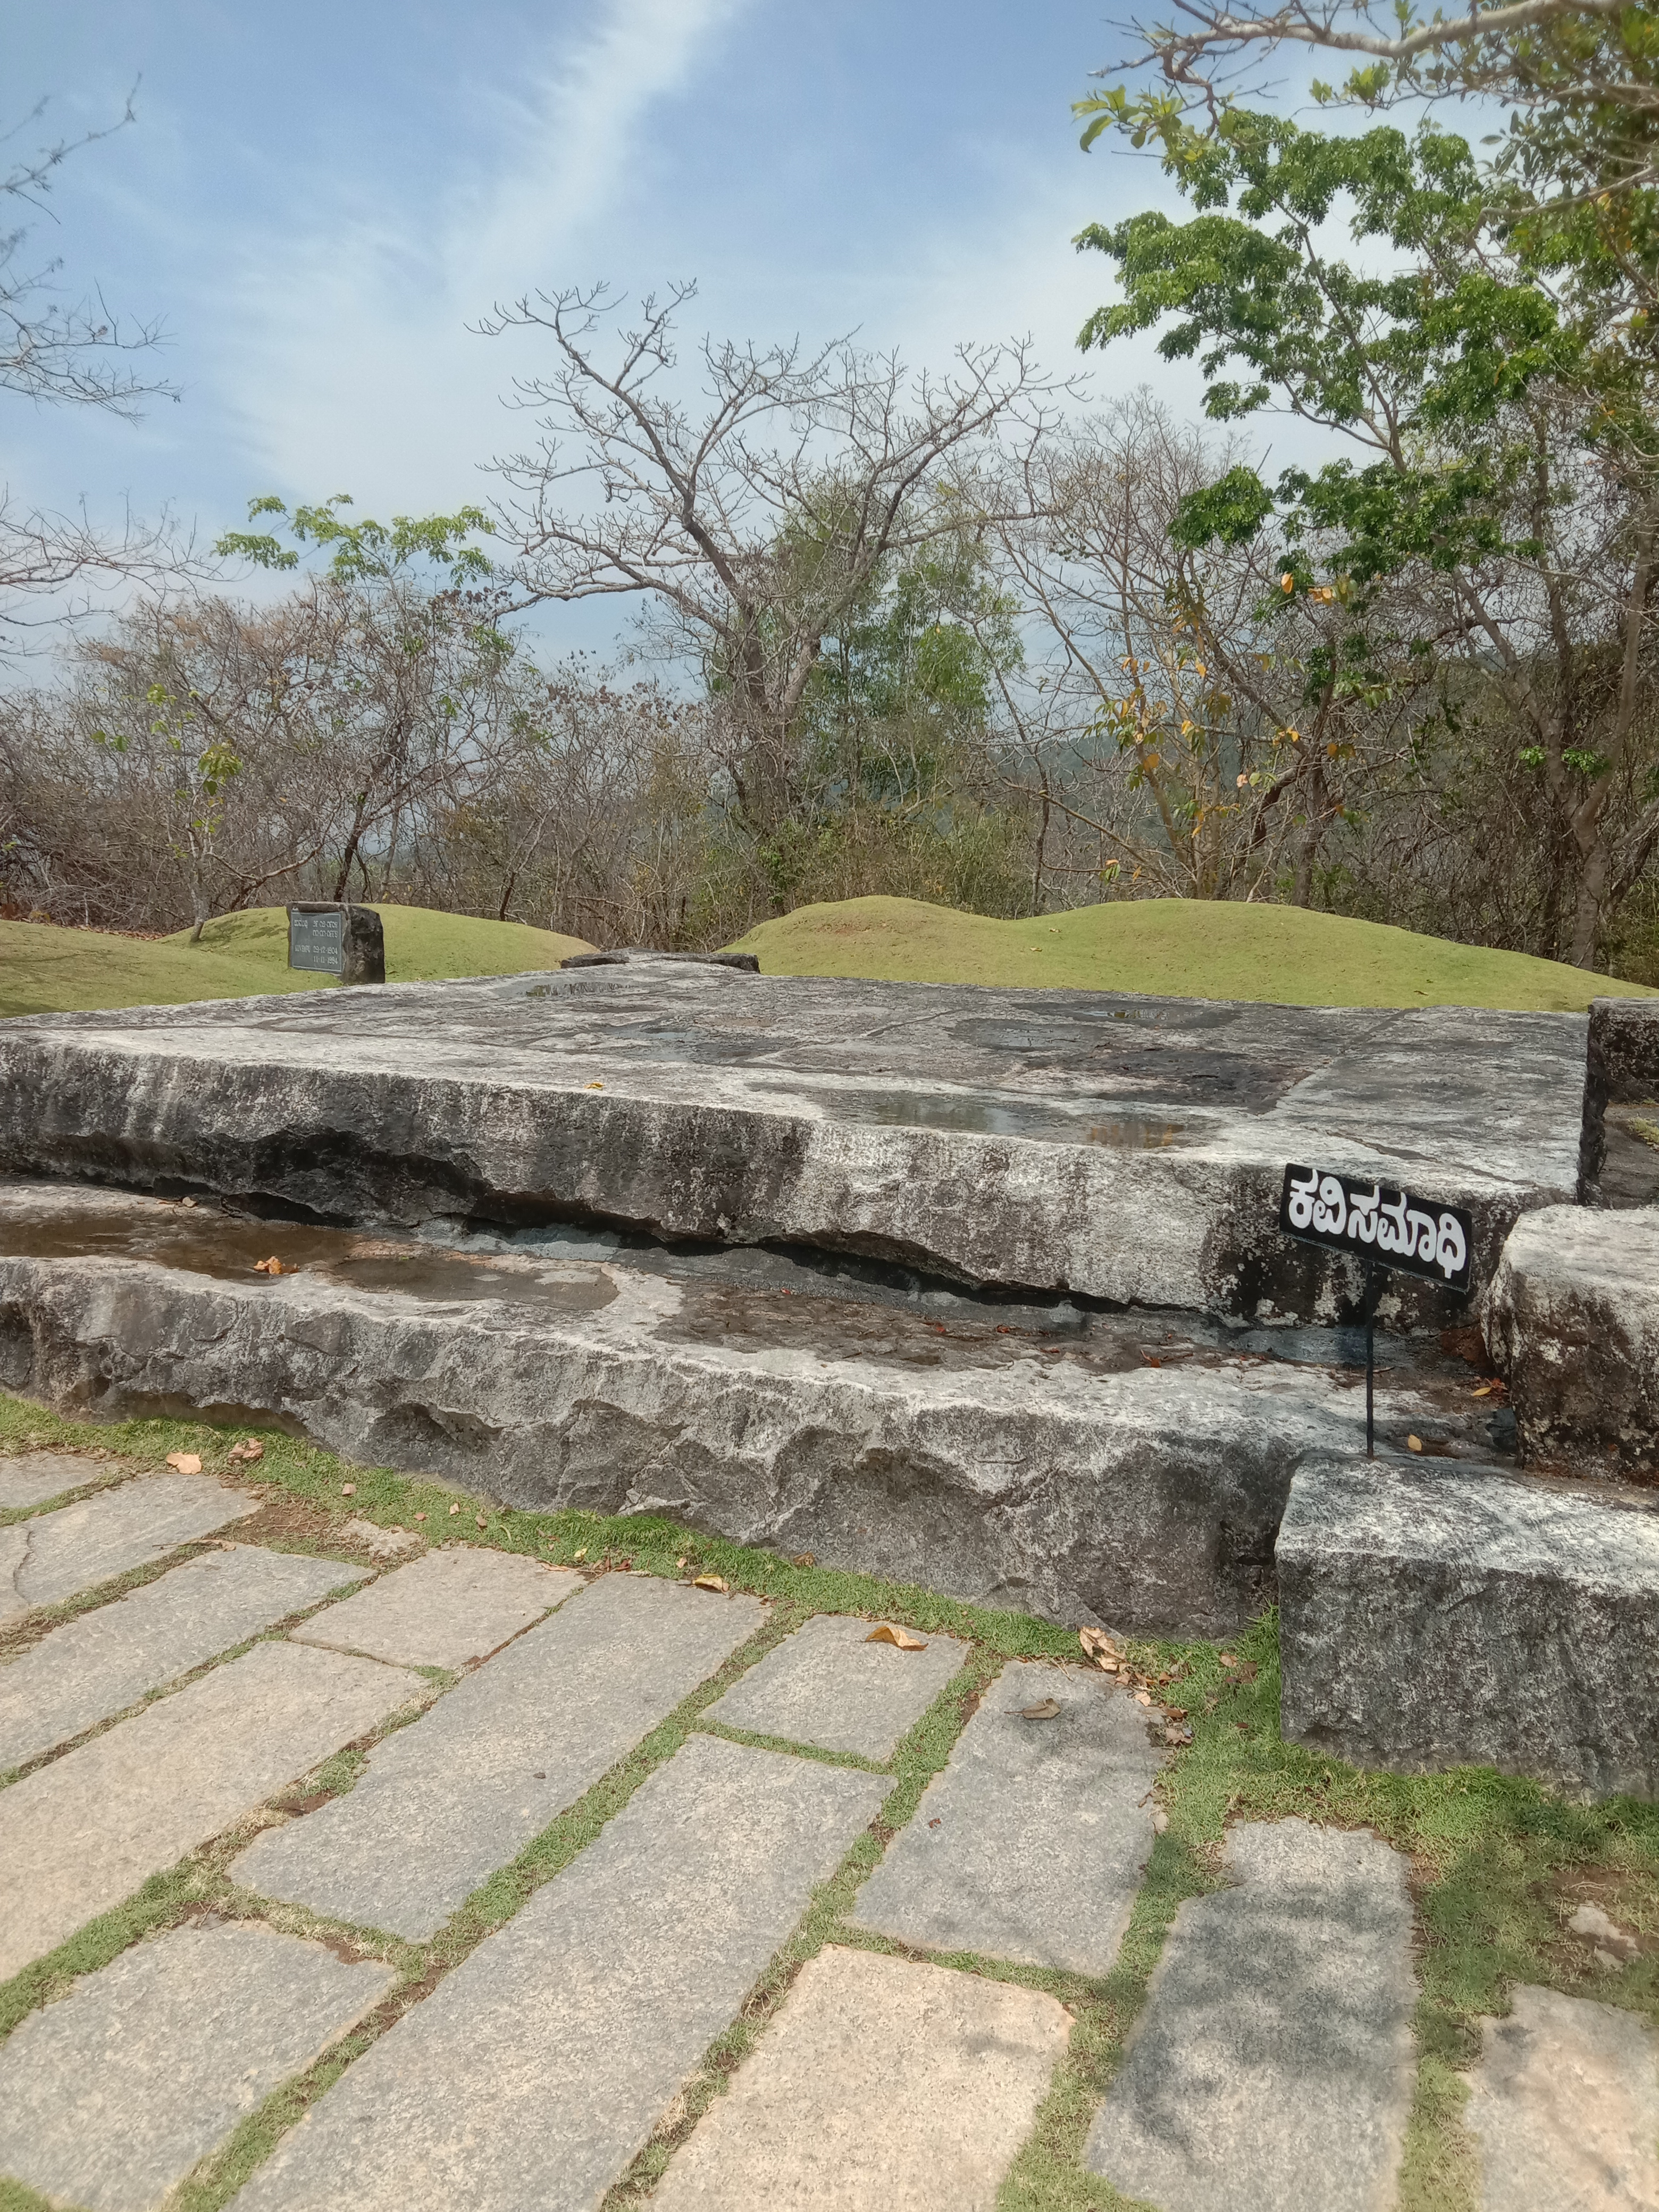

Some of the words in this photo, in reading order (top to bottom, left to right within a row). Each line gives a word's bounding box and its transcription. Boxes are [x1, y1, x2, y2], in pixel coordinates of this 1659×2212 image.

[311, 944, 339, 956] 29-12-1904
[311, 953, 340, 966] 11-11-1994
[1282, 1166, 1474, 1280] ಕವಿಸಮಾಧಿ